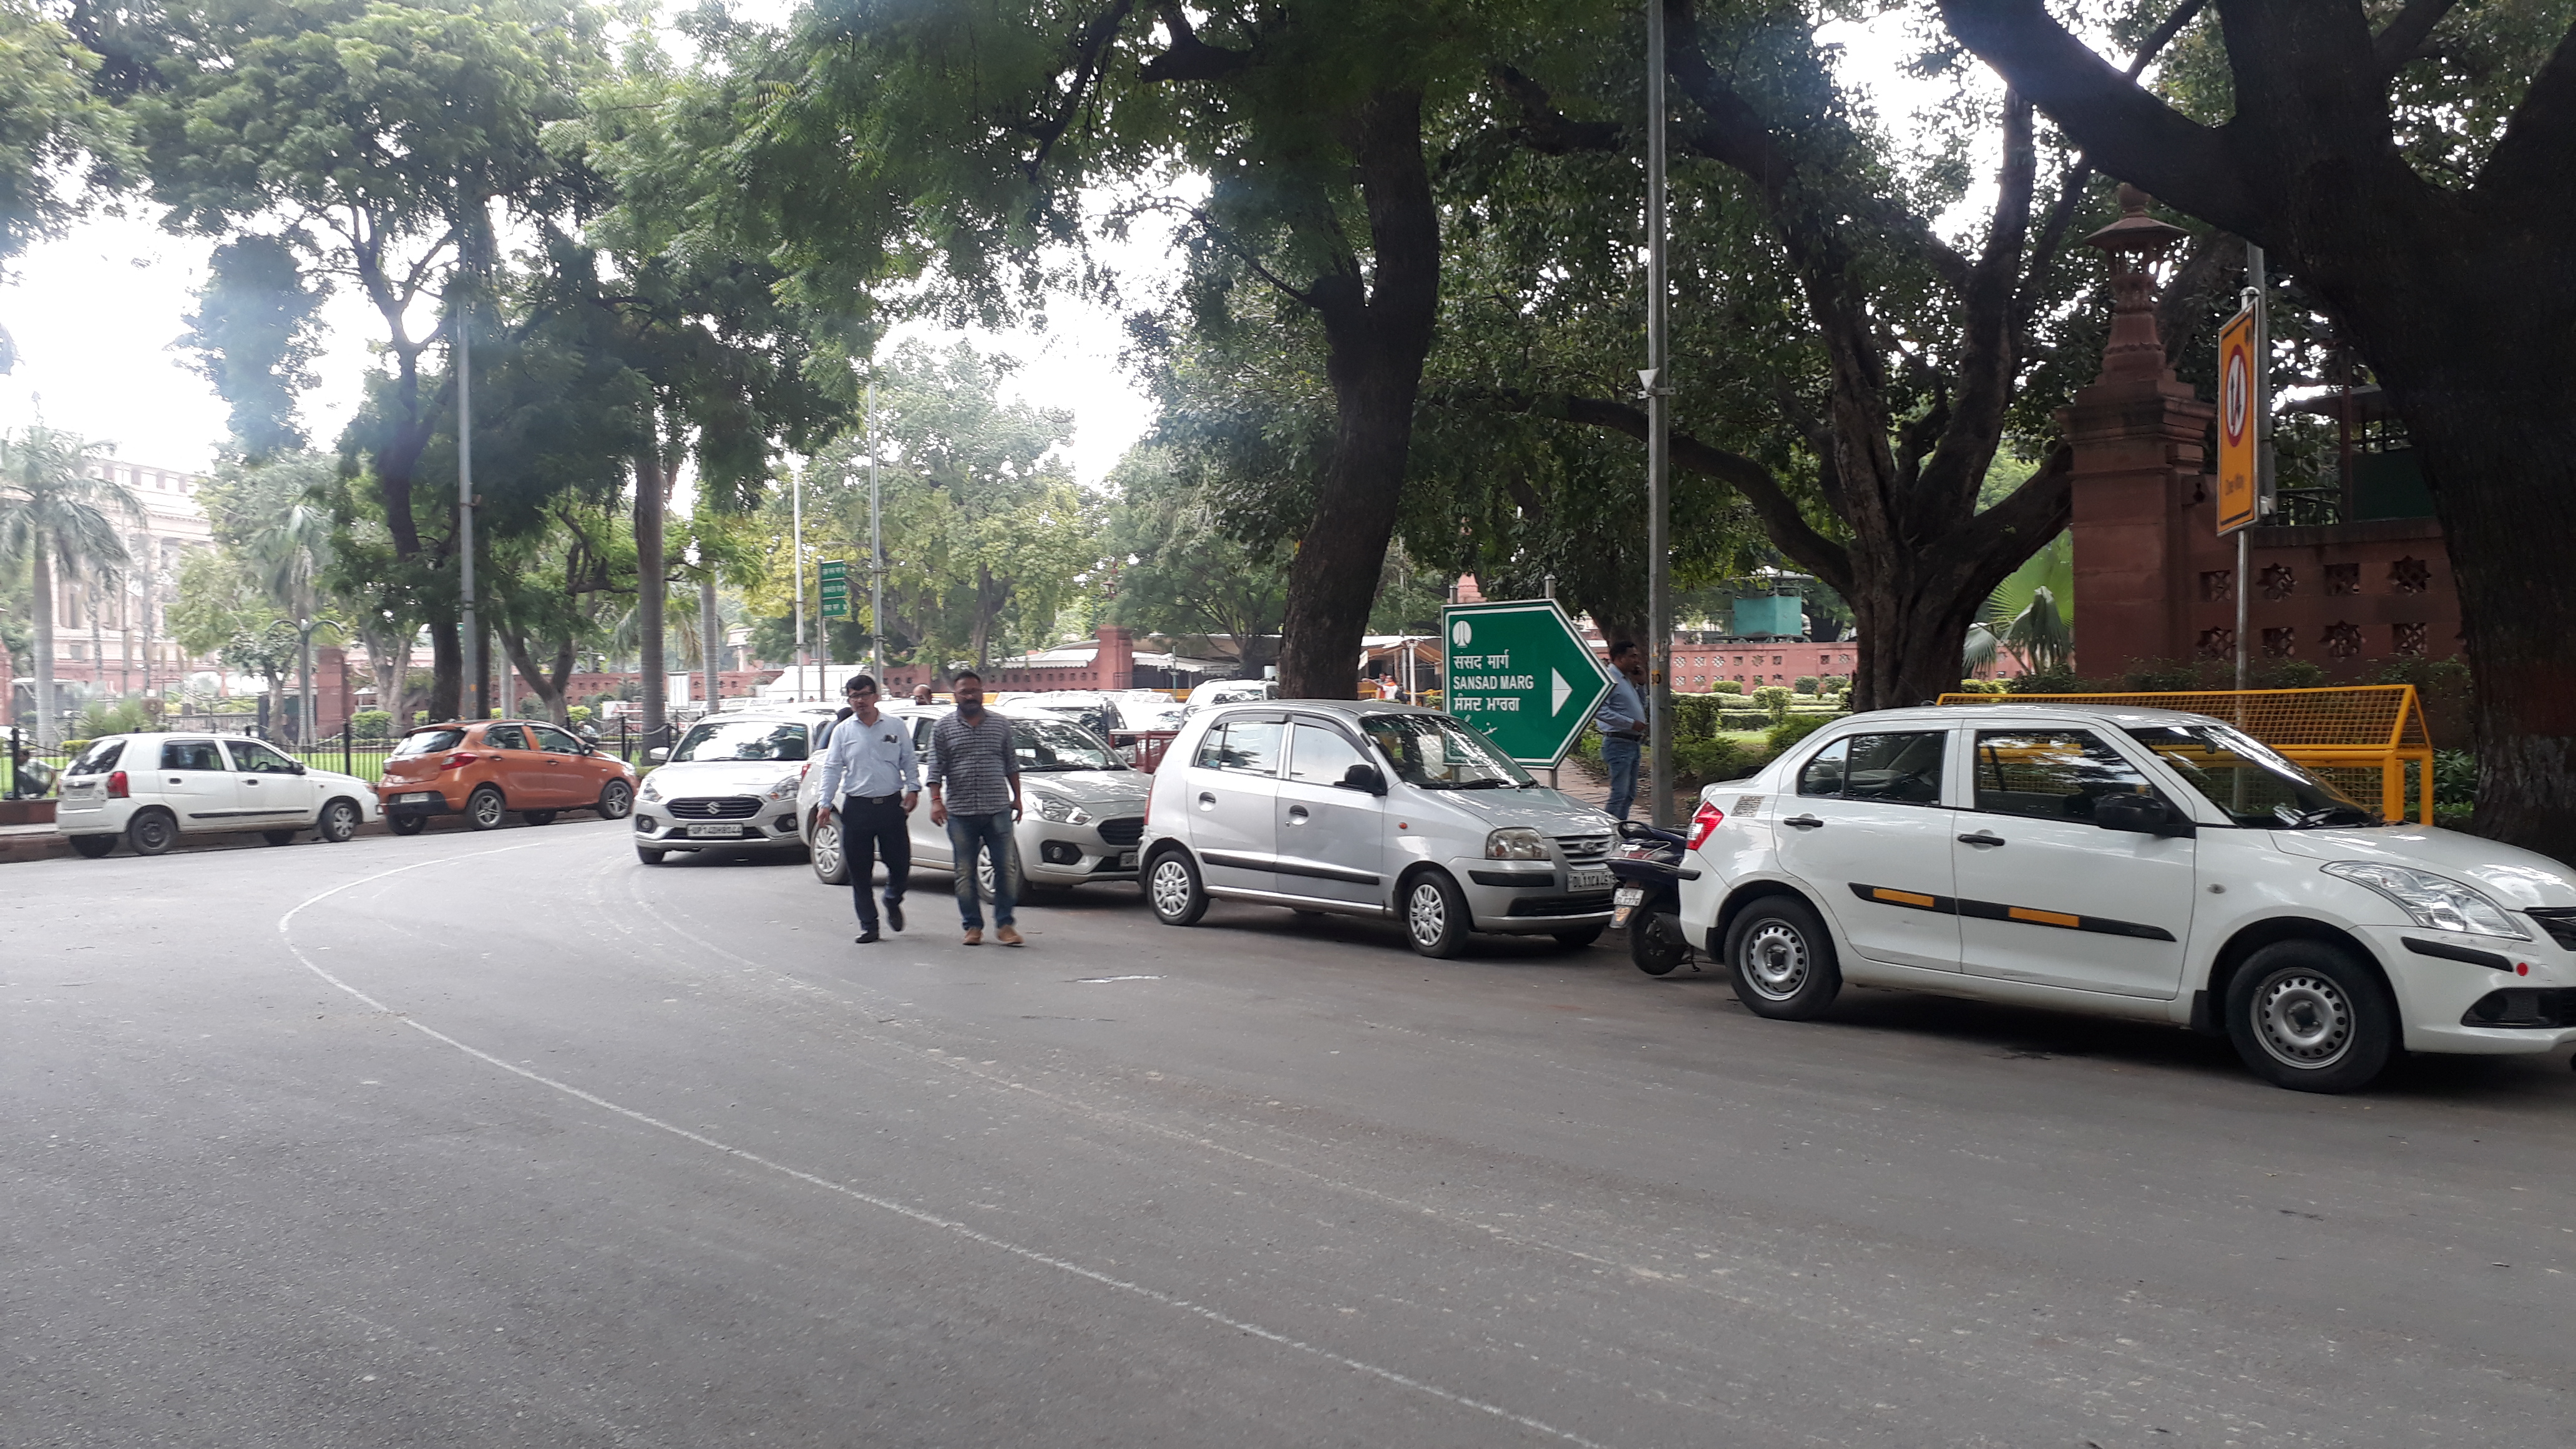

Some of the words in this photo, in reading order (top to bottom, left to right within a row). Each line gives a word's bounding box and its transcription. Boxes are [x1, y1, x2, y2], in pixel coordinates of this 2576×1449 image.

[1451, 648, 1482, 670] संसद
[1484, 647, 1510, 669] मार्ग
[1451, 674, 1498, 691] SANSAD
[1497, 673, 1534, 691] MARG
[1451, 692, 1483, 713] ਸੰਸਦ
[1483, 696, 1525, 714] ਮਾਰਗ